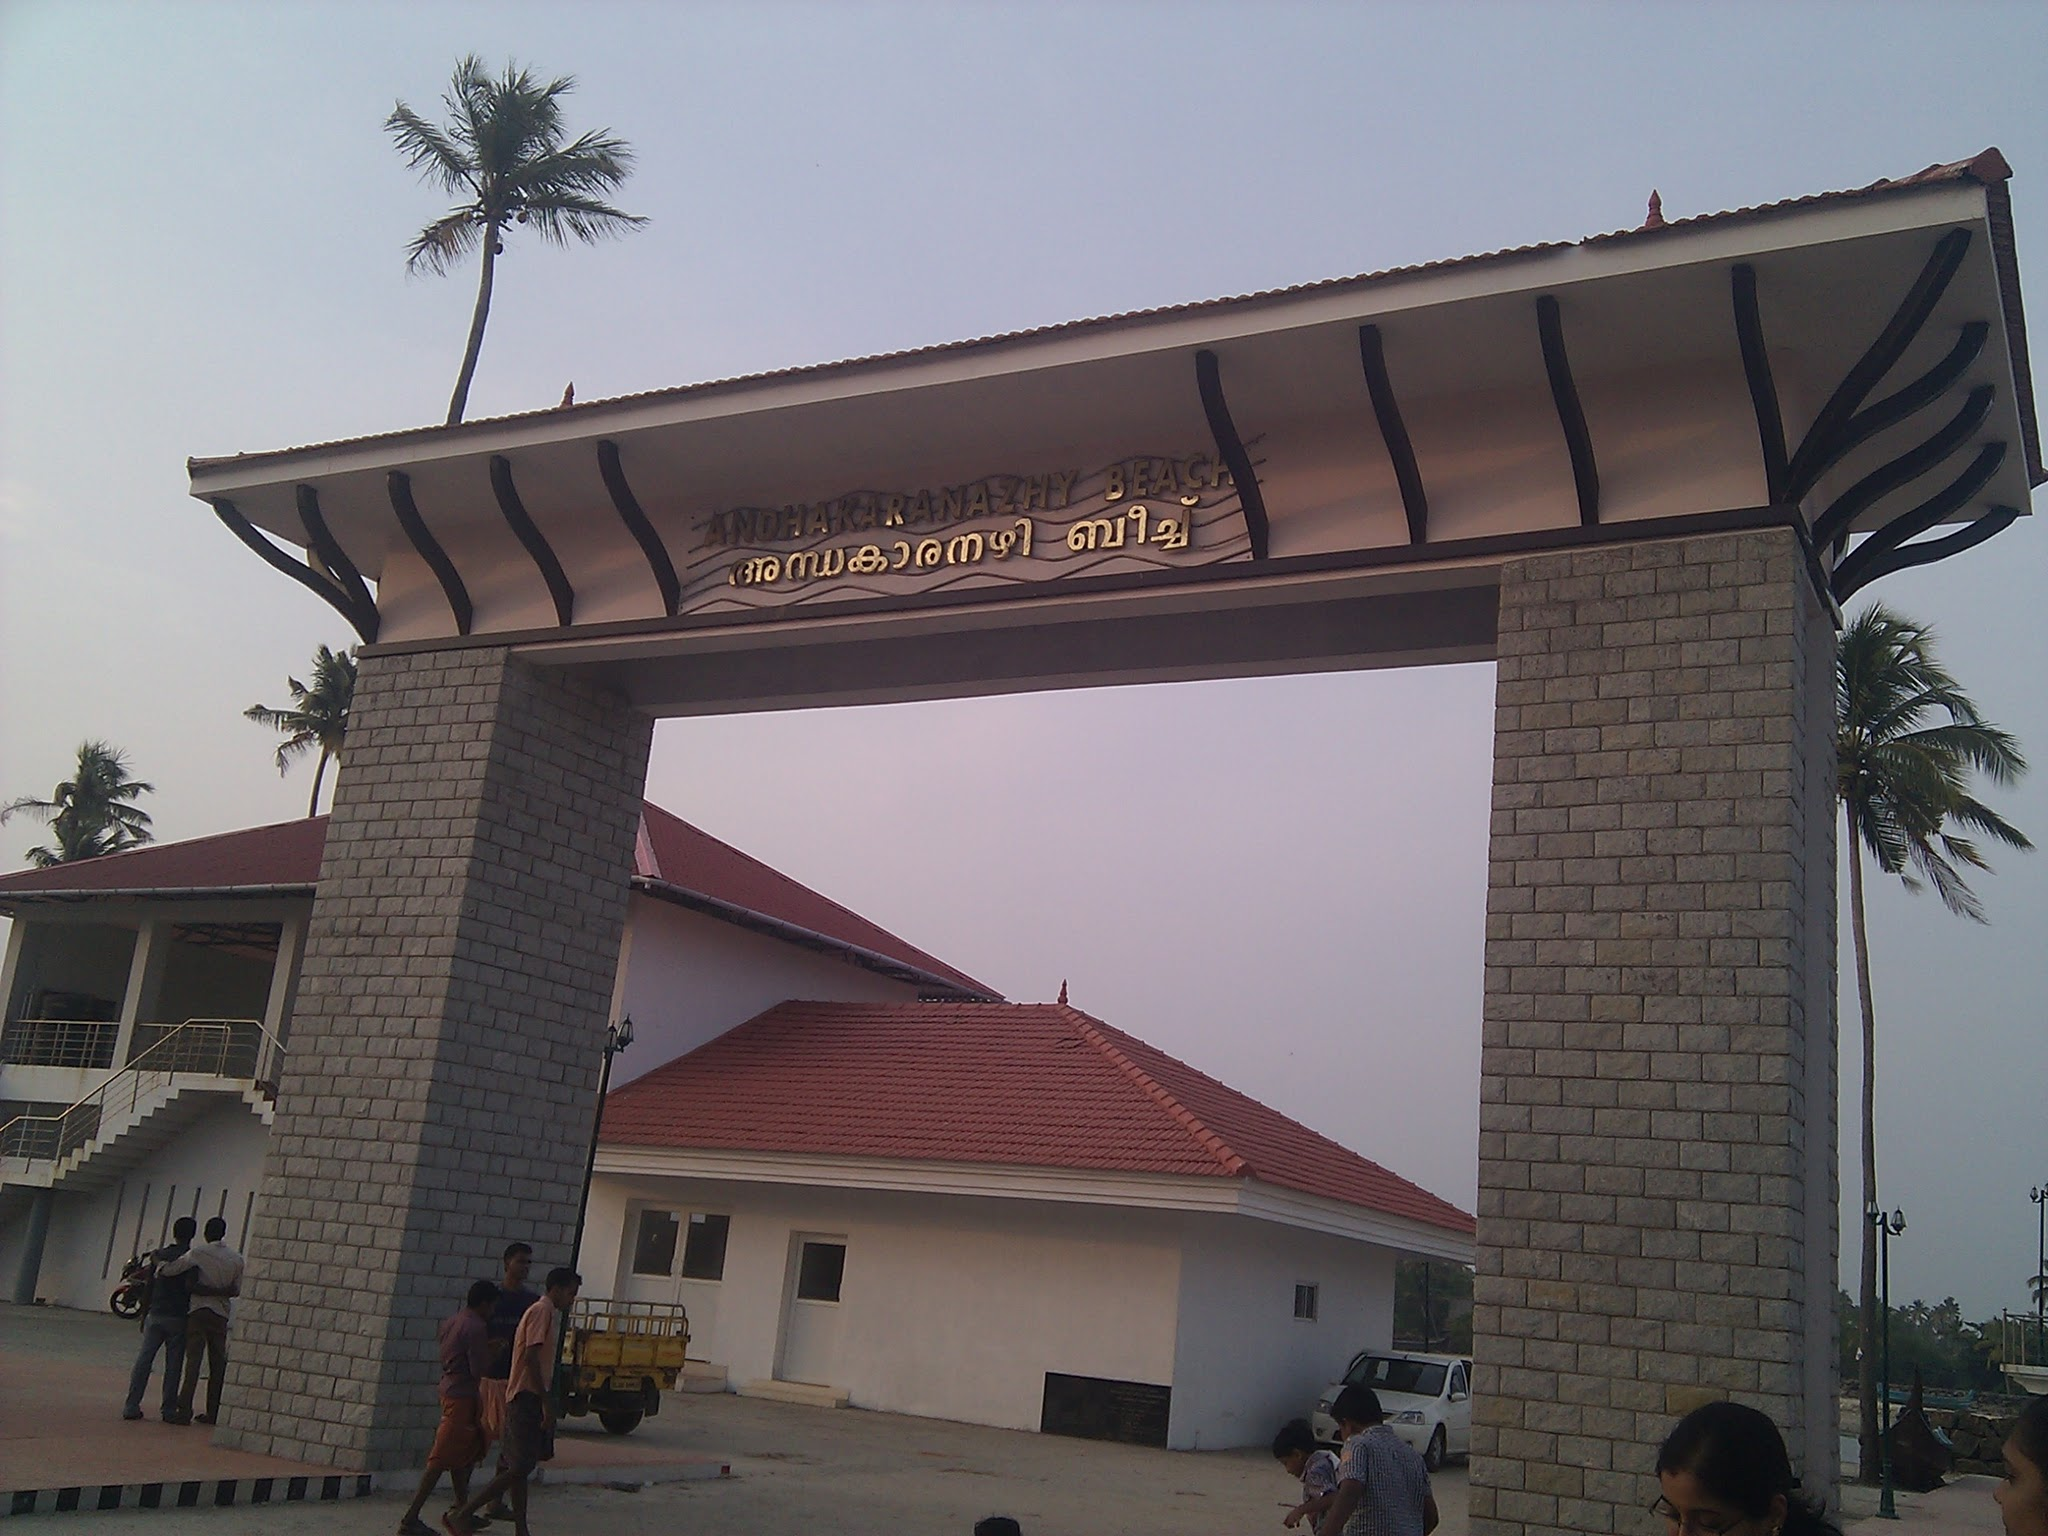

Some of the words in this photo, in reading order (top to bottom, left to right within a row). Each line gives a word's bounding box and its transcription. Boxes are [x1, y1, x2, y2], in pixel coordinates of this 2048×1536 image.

[703, 495, 834, 549] ANDHA
[725, 512, 1035, 590] അന്ധകാരനഴി
[831, 462, 1085, 536] KARANAZHY
[1062, 495, 1199, 558] ബീച്ച്
[1099, 441, 1251, 510] BEACH